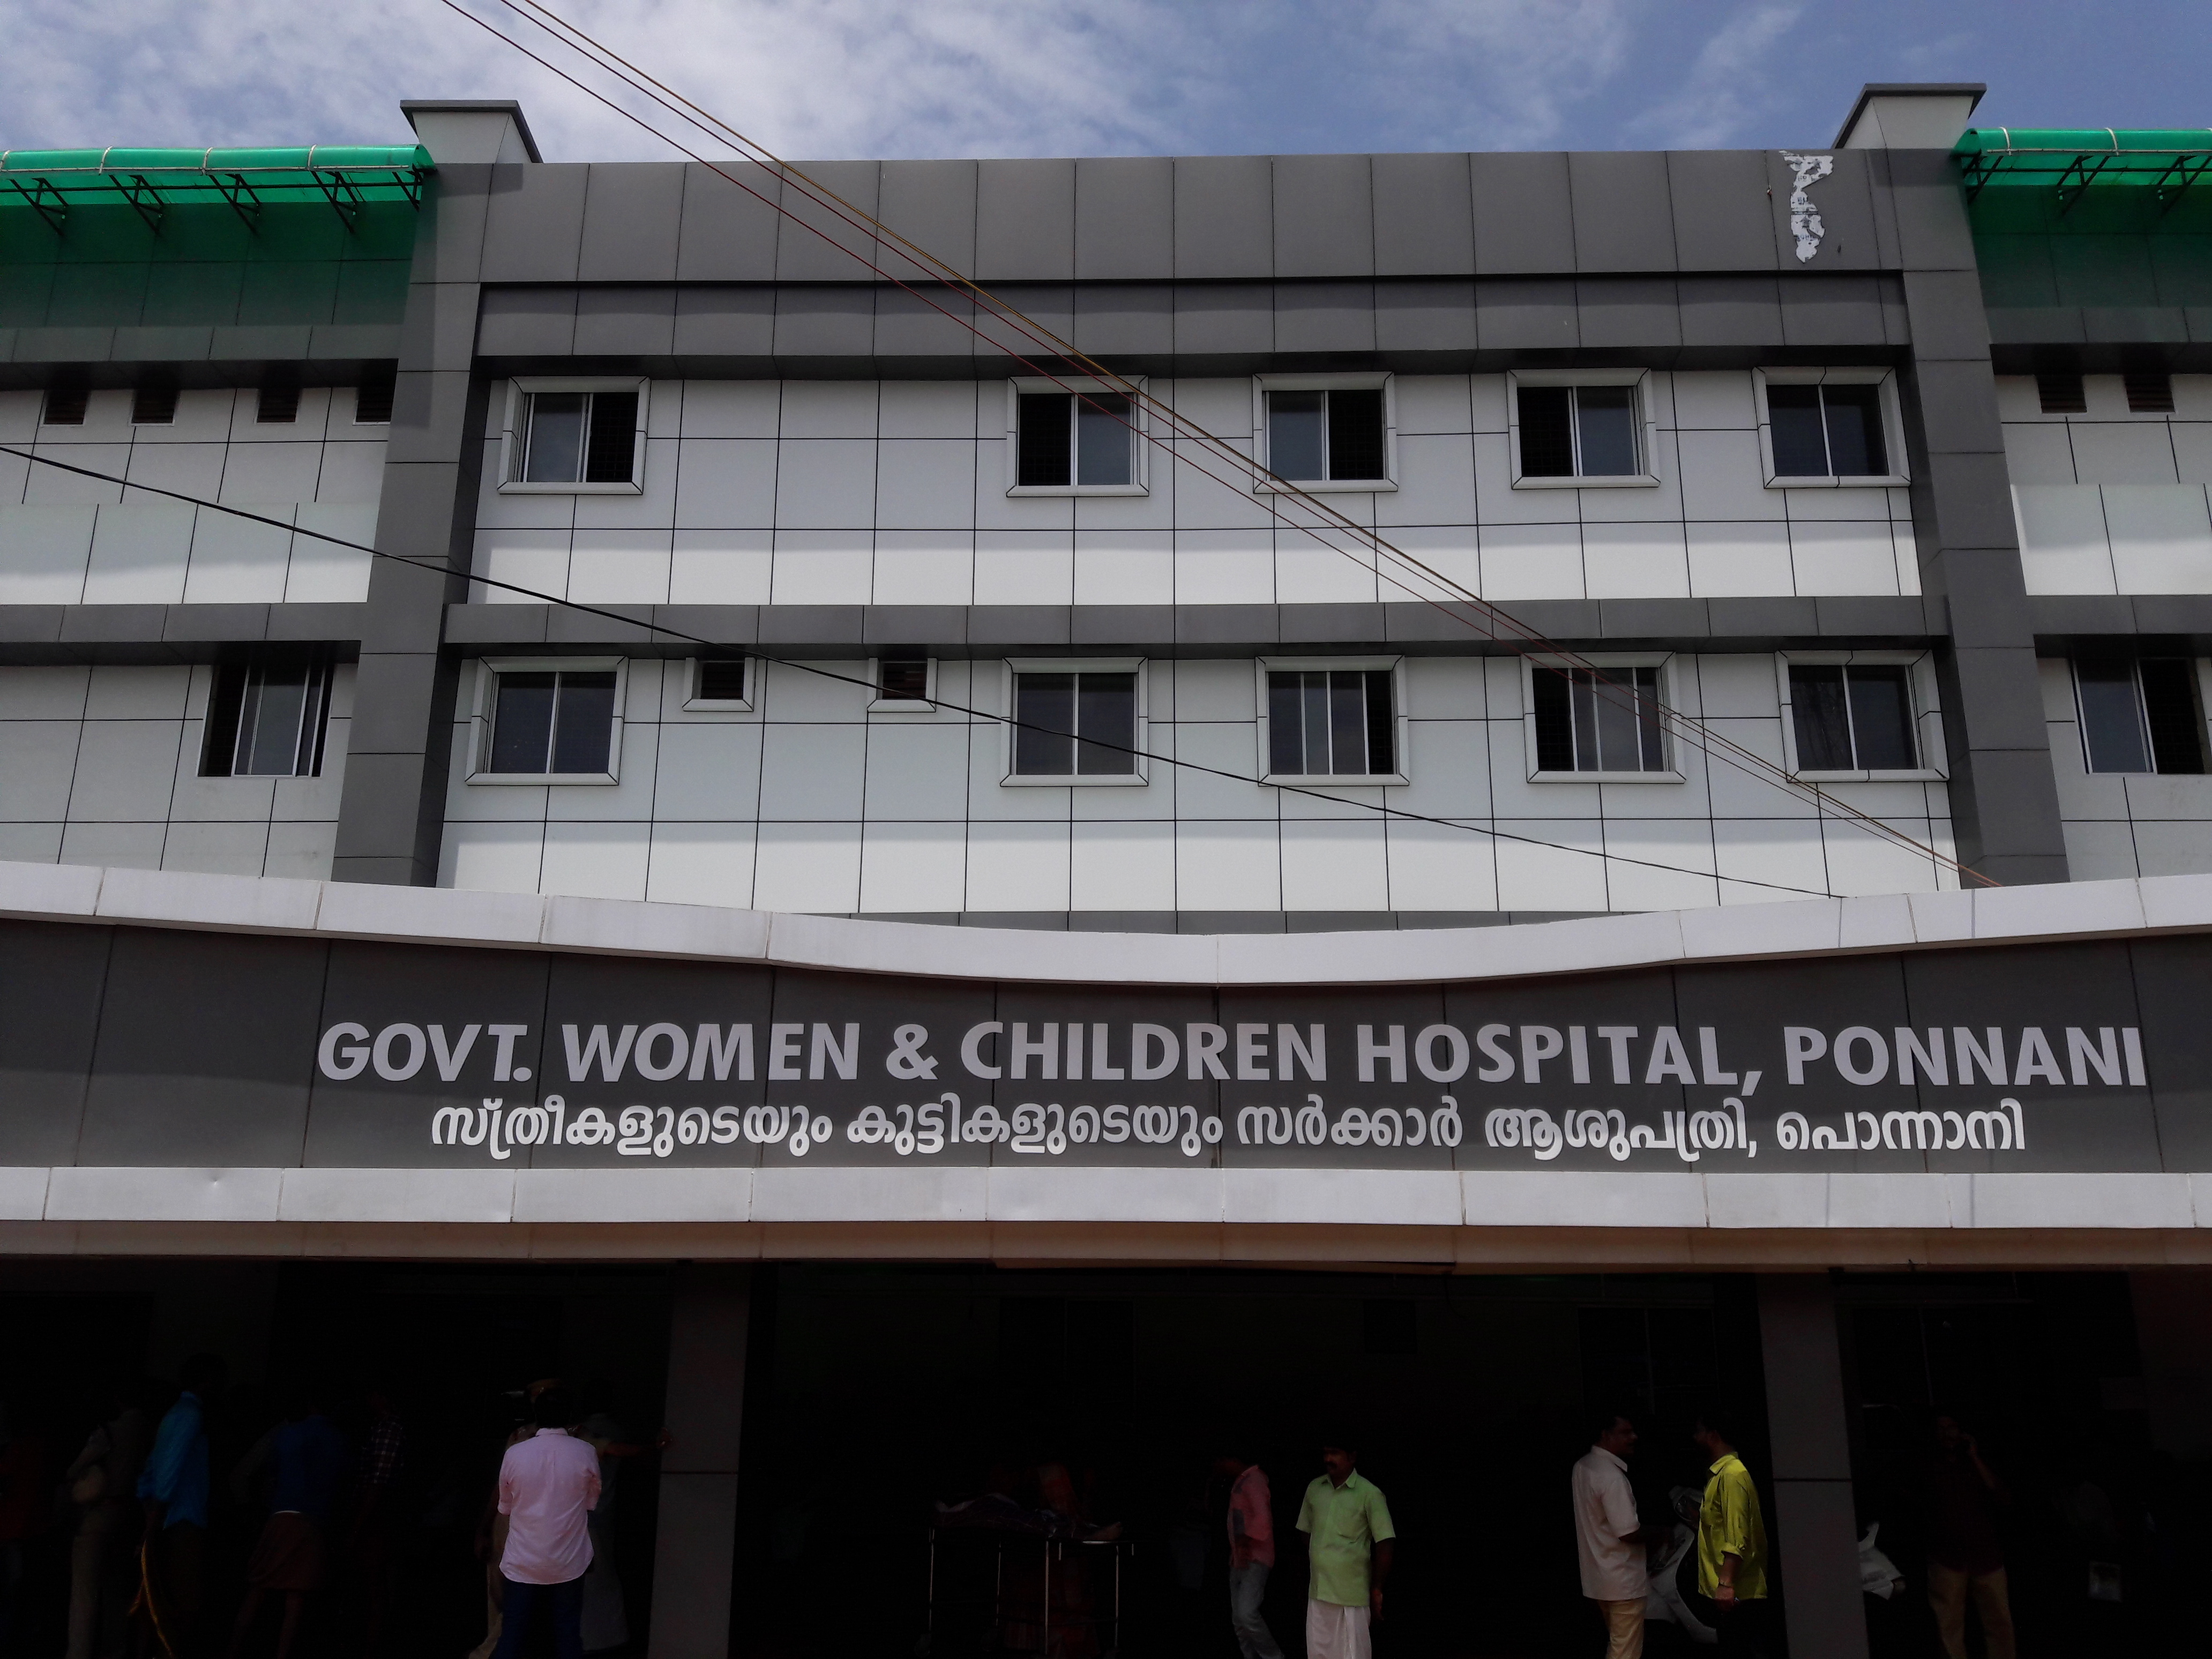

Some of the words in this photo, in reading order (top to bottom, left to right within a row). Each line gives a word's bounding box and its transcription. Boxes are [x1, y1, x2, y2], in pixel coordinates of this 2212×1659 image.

[312, 1017, 541, 1090] GOVT.
[551, 1017, 862, 1085] WOMEN
[881, 1019, 945, 1093] &
[951, 1012, 1331, 1088] CHILDREN
[1356, 1016, 1742, 1088] HOSPITAL
[1780, 1021, 2151, 1091] PONNANI
[431, 1088, 838, 1163] സ്‌ത്രീകളുടെയും
[845, 1086, 1228, 1163] കുട്ടികളുടെയും
[1234, 1085, 1467, 1156] സർക്കാർ
[1481, 1092, 1750, 1165] ആശുപത്രി
[1772, 1089, 2032, 1155] പൊന്നാനി